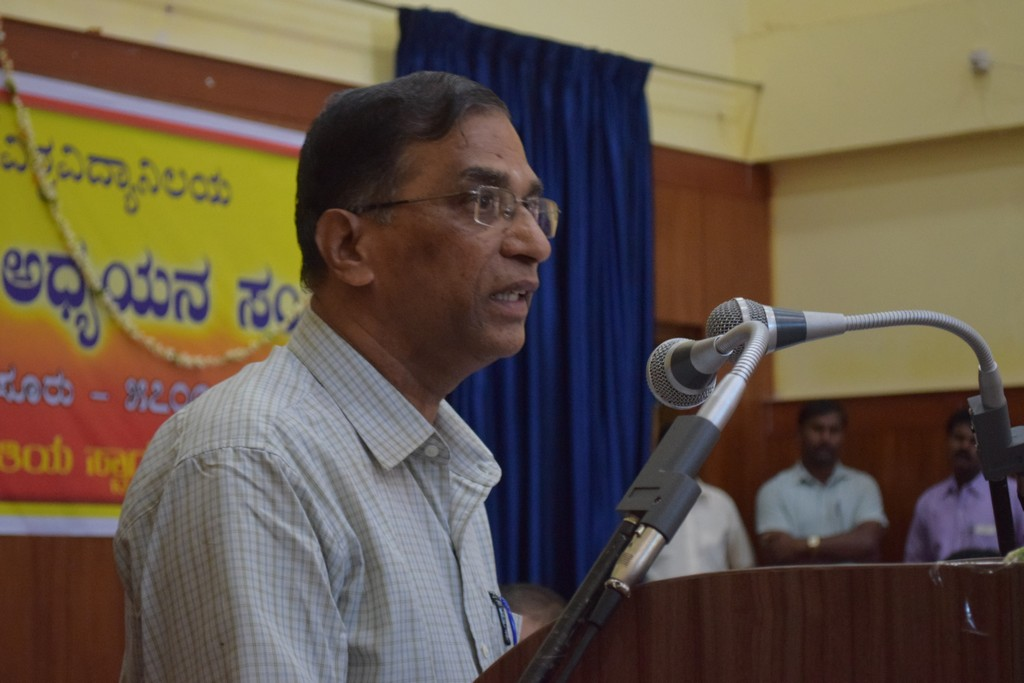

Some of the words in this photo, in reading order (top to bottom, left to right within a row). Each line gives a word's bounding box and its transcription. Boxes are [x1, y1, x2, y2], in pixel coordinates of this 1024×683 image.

[4, 129, 241, 217] ಏಶ್ವವಿದ್ಯಾನಿಲಯ
[4, 232, 217, 354] ಅಧ್ಯಯನ
[3, 359, 81, 415] ಬಾರು